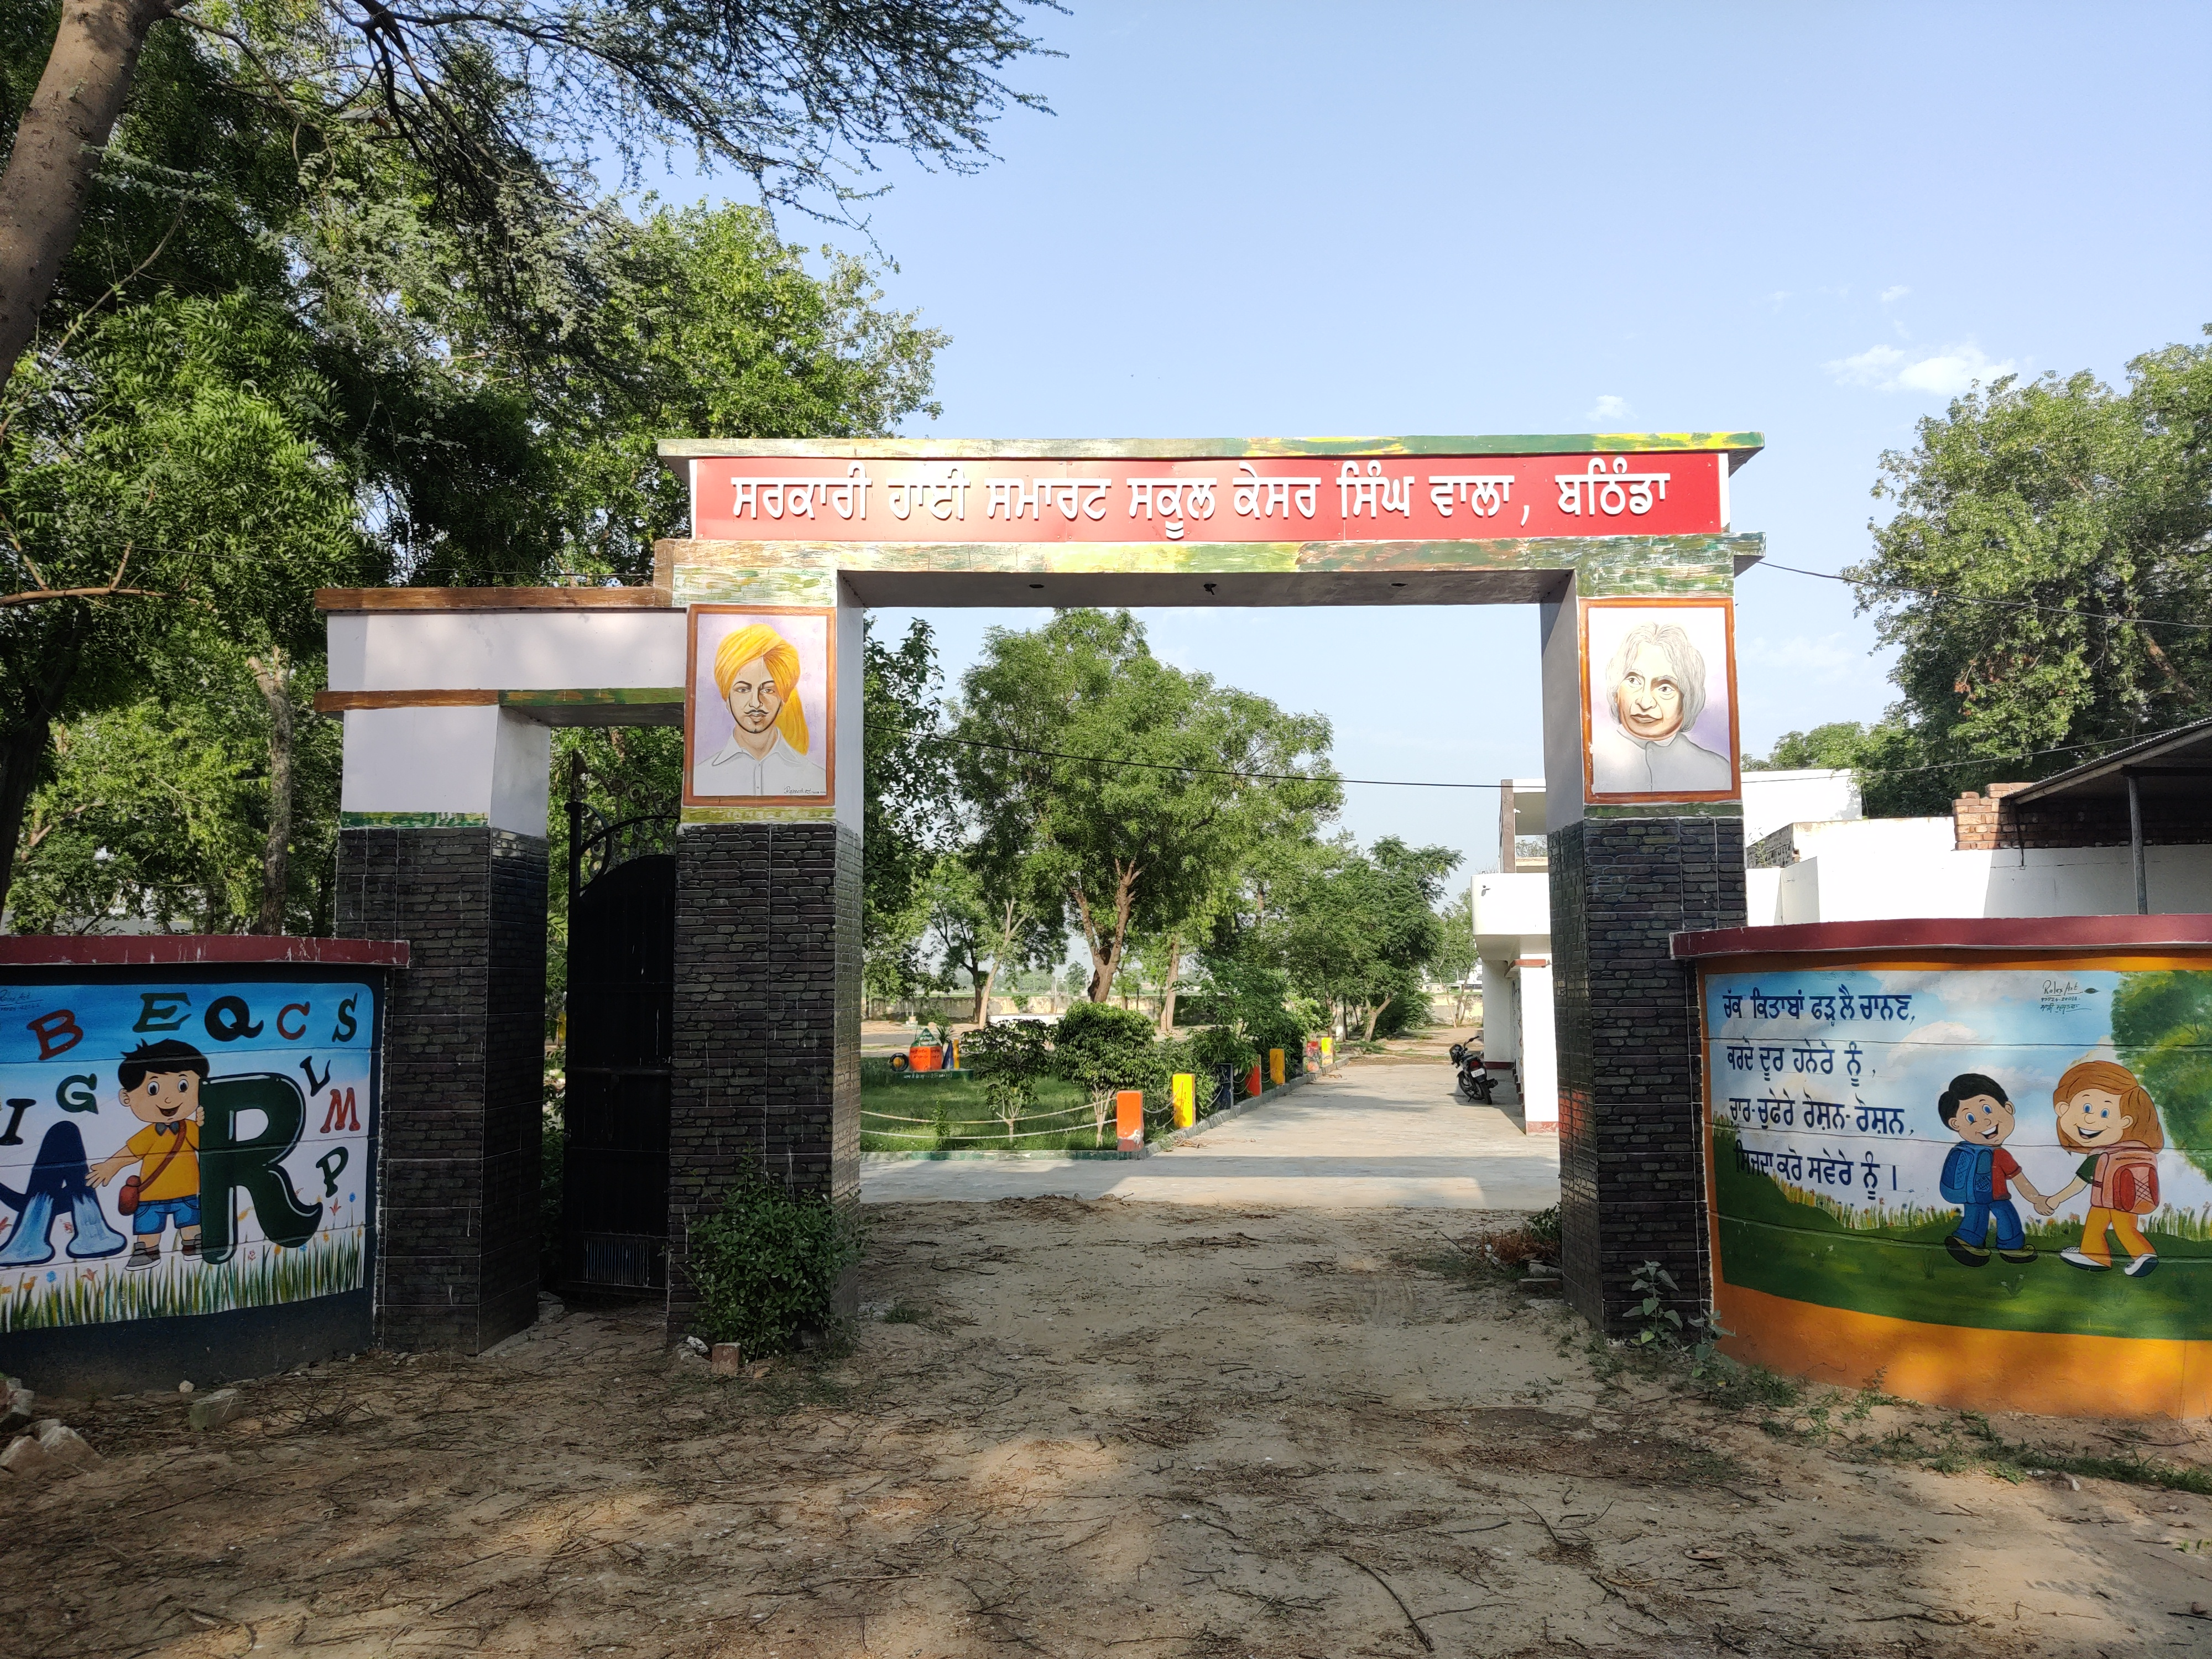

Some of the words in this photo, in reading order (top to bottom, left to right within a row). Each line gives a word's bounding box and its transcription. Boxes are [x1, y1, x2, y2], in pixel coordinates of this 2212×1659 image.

[724, 459, 879, 530] ਸਰਕਾਰੀ
[879, 463, 977, 532] ਹਾਈ
[977, 472, 1116, 530] ਸਮਾਰਟ
[1117, 472, 1227, 542] ਸਕੂਲ
[1227, 457, 1325, 533] ਕੇਸਰ
[1333, 455, 1421, 528] ਸਿੰਘ
[1420, 469, 1522, 528] ਵਾਲਾ
[1546, 452, 1681, 525] ਬਠਿੰਡਾ
[0, 1092, 41, 1151] I
[22, 1001, 92, 1068] B
[50, 1069, 107, 1120] G
[125, 985, 196, 1039] E
[197, 991, 270, 1047] Q
[270, 995, 316, 1046] C
[293, 1047, 339, 1104] L
[317, 1082, 365, 1138] M
[320, 989, 367, 1050] S
[1718, 982, 1746, 1022] ਚੱਕ
[1722, 1029, 1757, 1076] ਭਰਦੇ
[1721, 1084, 1801, 1131] ਚਾਰ-ਚੁਫੇਰੇ
[1757, 1039, 1790, 1084] ਦੂਰ
[1746, 984, 1807, 1024] ਕਿਤਾਬਾਂ
[1789, 1035, 1838, 1075] ਹਨੇਰੇ
[1806, 989, 1839, 1030] ਫੜ਼
[1835, 981, 1860, 1025] ਲੈ
[1839, 1037, 1871, 1090] ਨੂੰ
[1799, 1088, 1919, 1139] ਰੇਸ਼ਨ-ਰੋਸ਼ਨ,
[1856, 992, 1916, 1030] ਚਾਨਣ
[0, 1114, 134, 1270] A
[194, 1062, 330, 1272] R
[309, 1139, 354, 1204] P
[1730, 1134, 1775, 1187] ਸਿਜਦਾ
[1772, 1142, 1806, 1181] ਕਰੋ
[1803, 1145, 1857, 1189] ਸਵੇਰੇ
[1855, 1148, 1885, 1207] ਨੂੰ